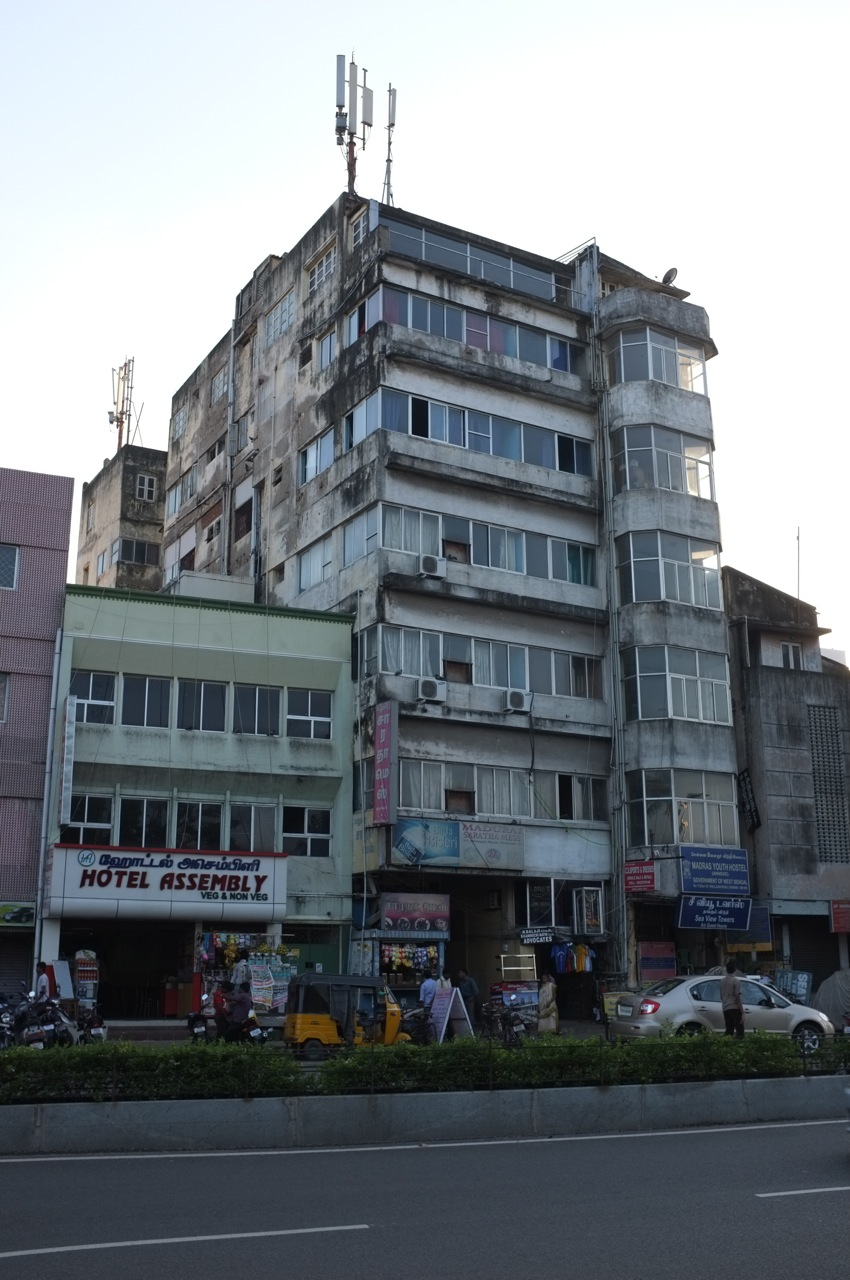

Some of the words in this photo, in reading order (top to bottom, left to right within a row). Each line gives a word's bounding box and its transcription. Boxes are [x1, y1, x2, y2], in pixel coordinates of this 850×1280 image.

[95, 847, 179, 875] ஹோட்டல்
[175, 851, 264, 874] அசெம்பிளி
[687, 858, 717, 875] MADRASY
[712, 859, 732, 874] YOUTH
[725, 859, 752, 876] HOSTEL
[75, 867, 154, 894] HOTEL
[156, 868, 270, 895] ASSEMBLY
[201, 888, 223, 908] VEG
[229, 889, 252, 907] NON
[249, 887, 272, 907] VEG
[713, 889, 750, 911] டவா்ஸ்
[717, 912, 739, 925] Towers